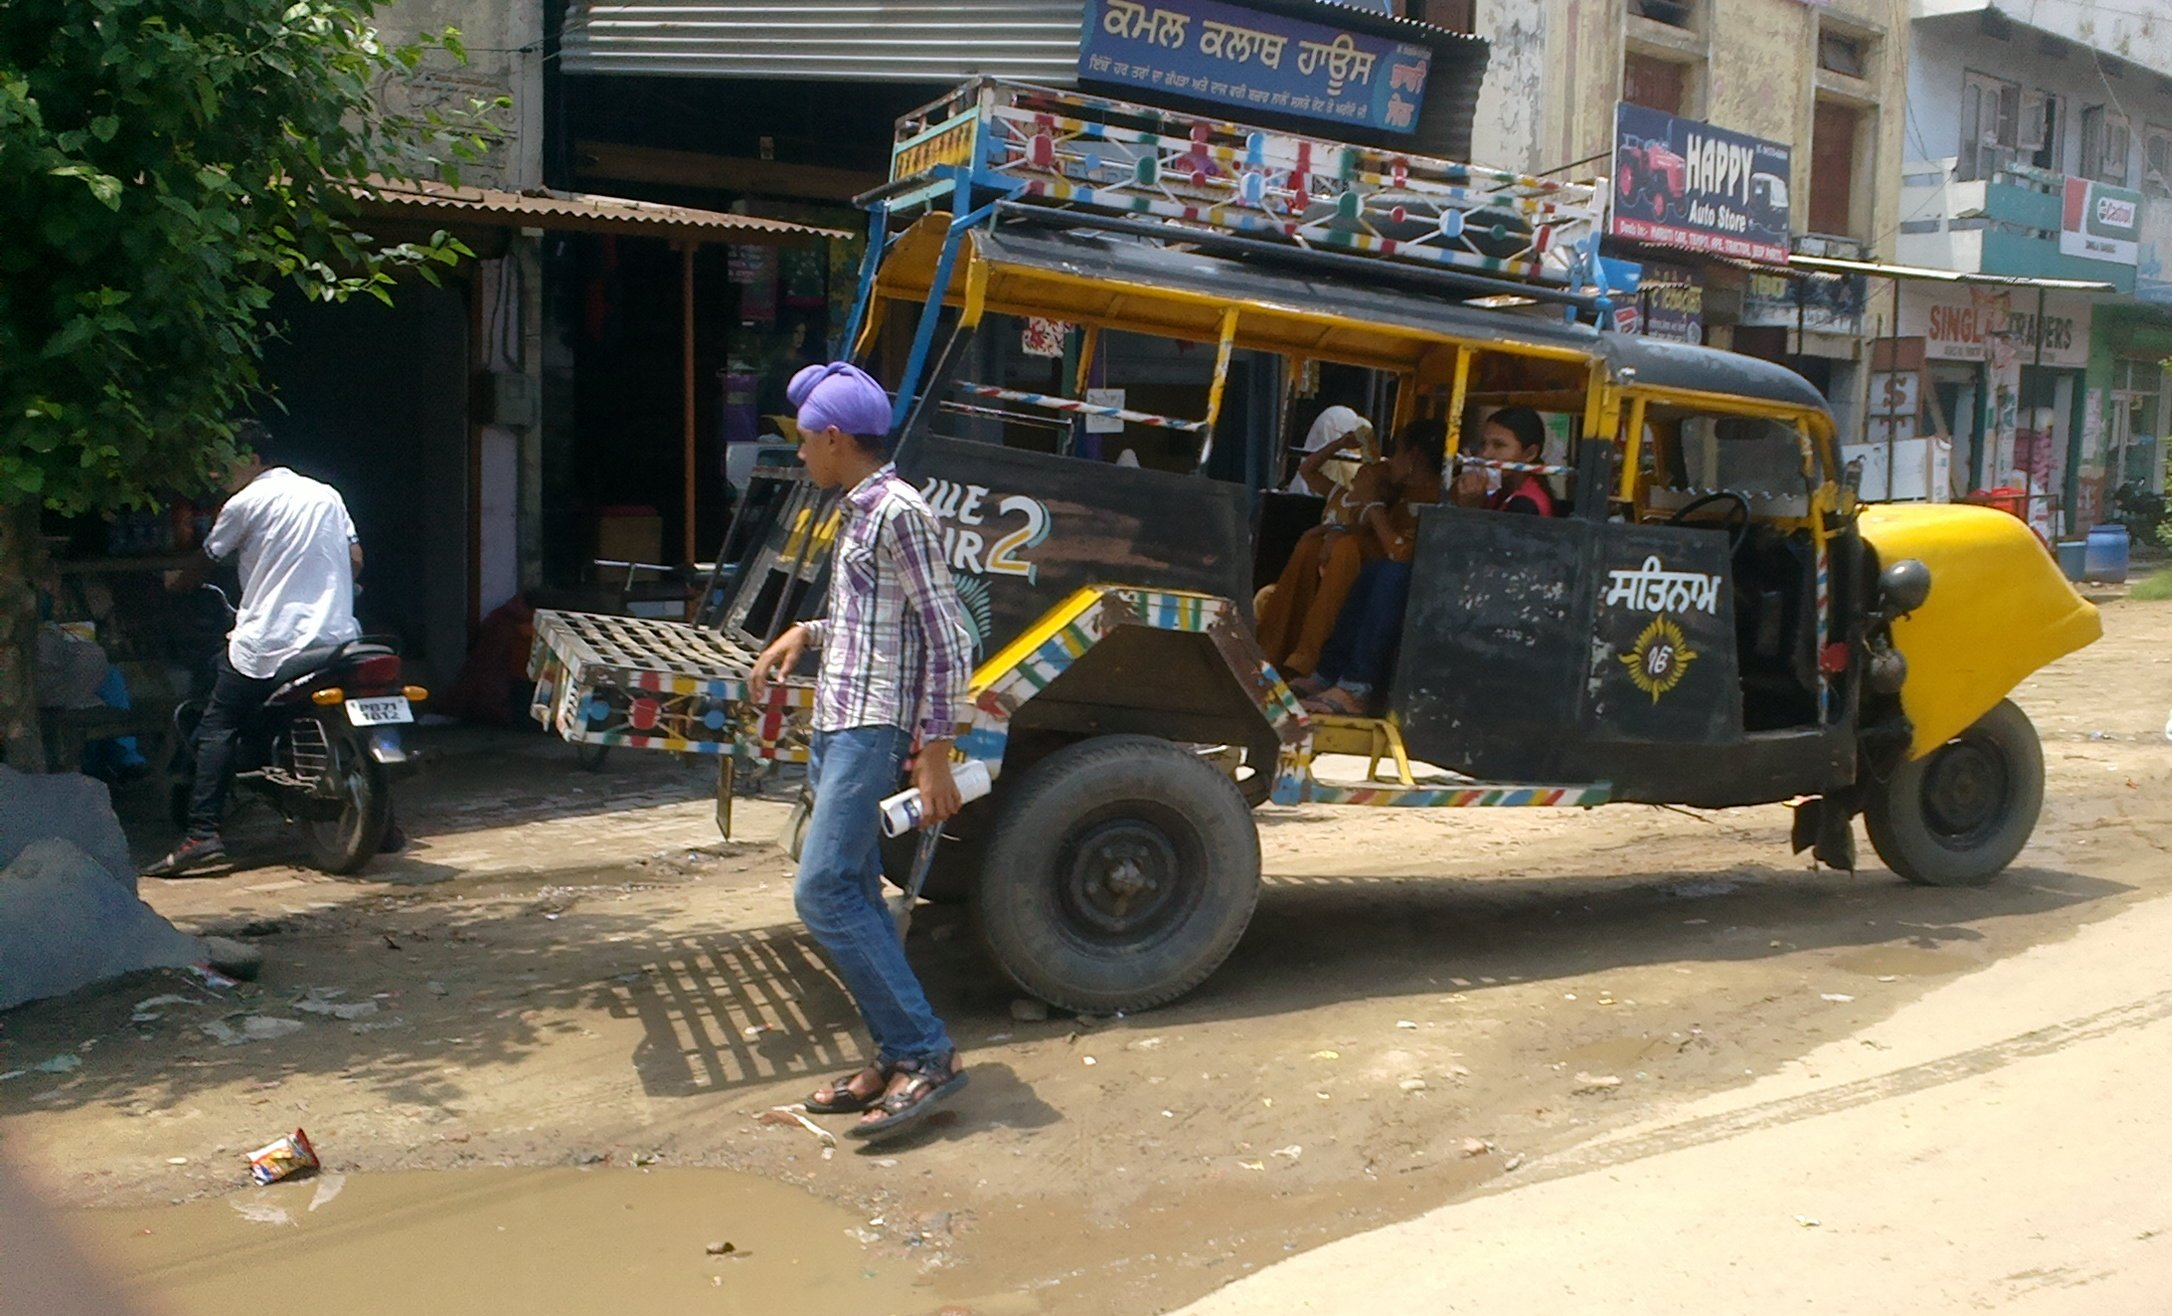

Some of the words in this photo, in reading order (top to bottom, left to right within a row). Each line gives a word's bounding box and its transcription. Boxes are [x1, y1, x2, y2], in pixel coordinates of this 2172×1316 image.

[1100, 0, 1200, 58] ਕਮਲ
[1193, 14, 1297, 76] ਕਲਾਥ
[1287, 27, 1383, 98] ਹਾਊਸ
[1681, 125, 1757, 208] HAPPY
[1683, 197, 1715, 231] Auto
[1716, 199, 1753, 237] Store
[1923, 300, 1988, 345] SINGL
[984, 472, 1056, 587] 2
[1600, 550, 1728, 623] ਸਤਿਨਾਮ